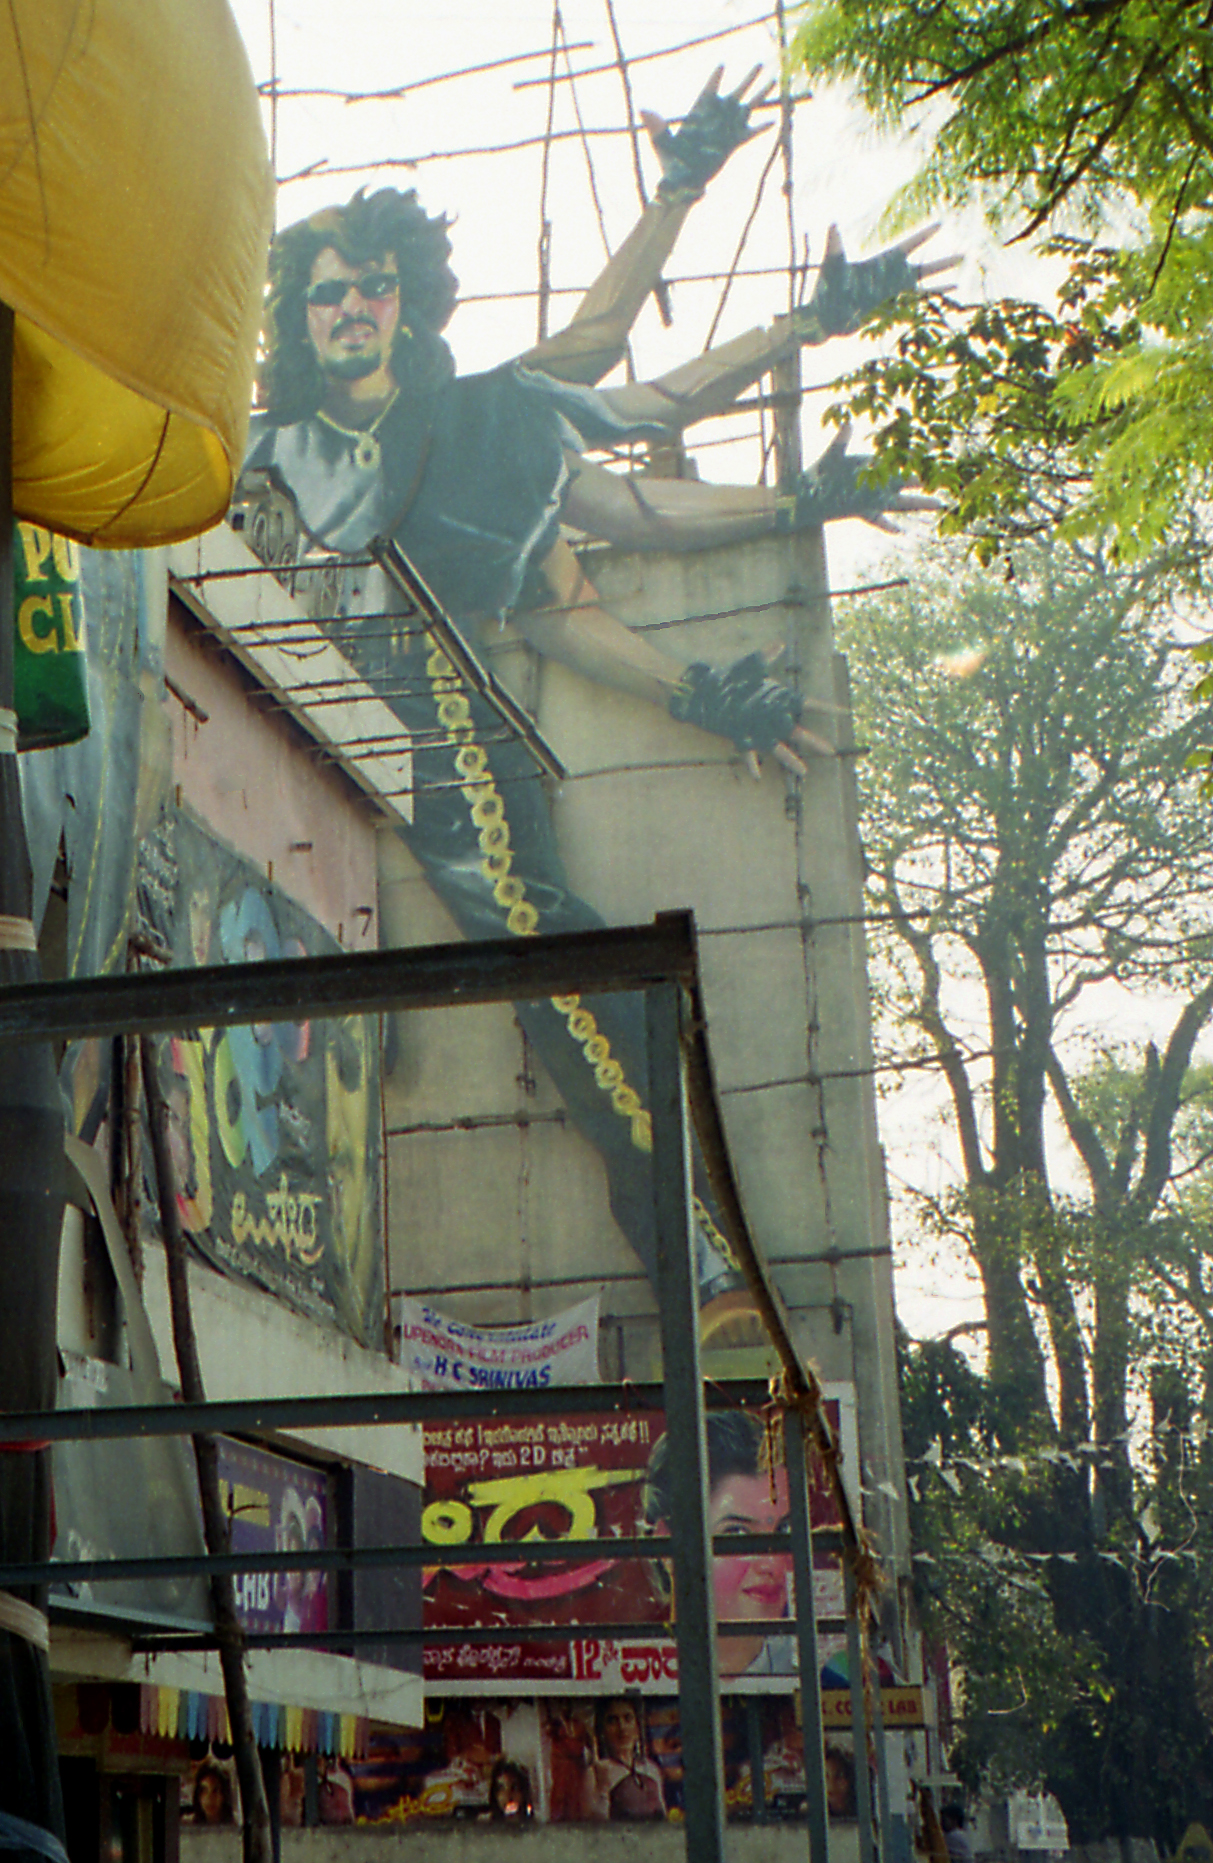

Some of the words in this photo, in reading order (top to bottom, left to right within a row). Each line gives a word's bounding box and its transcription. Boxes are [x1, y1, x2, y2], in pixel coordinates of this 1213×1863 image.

[423, 1349, 468, 1386] HC
[468, 1360, 560, 1391] SRINIVAS